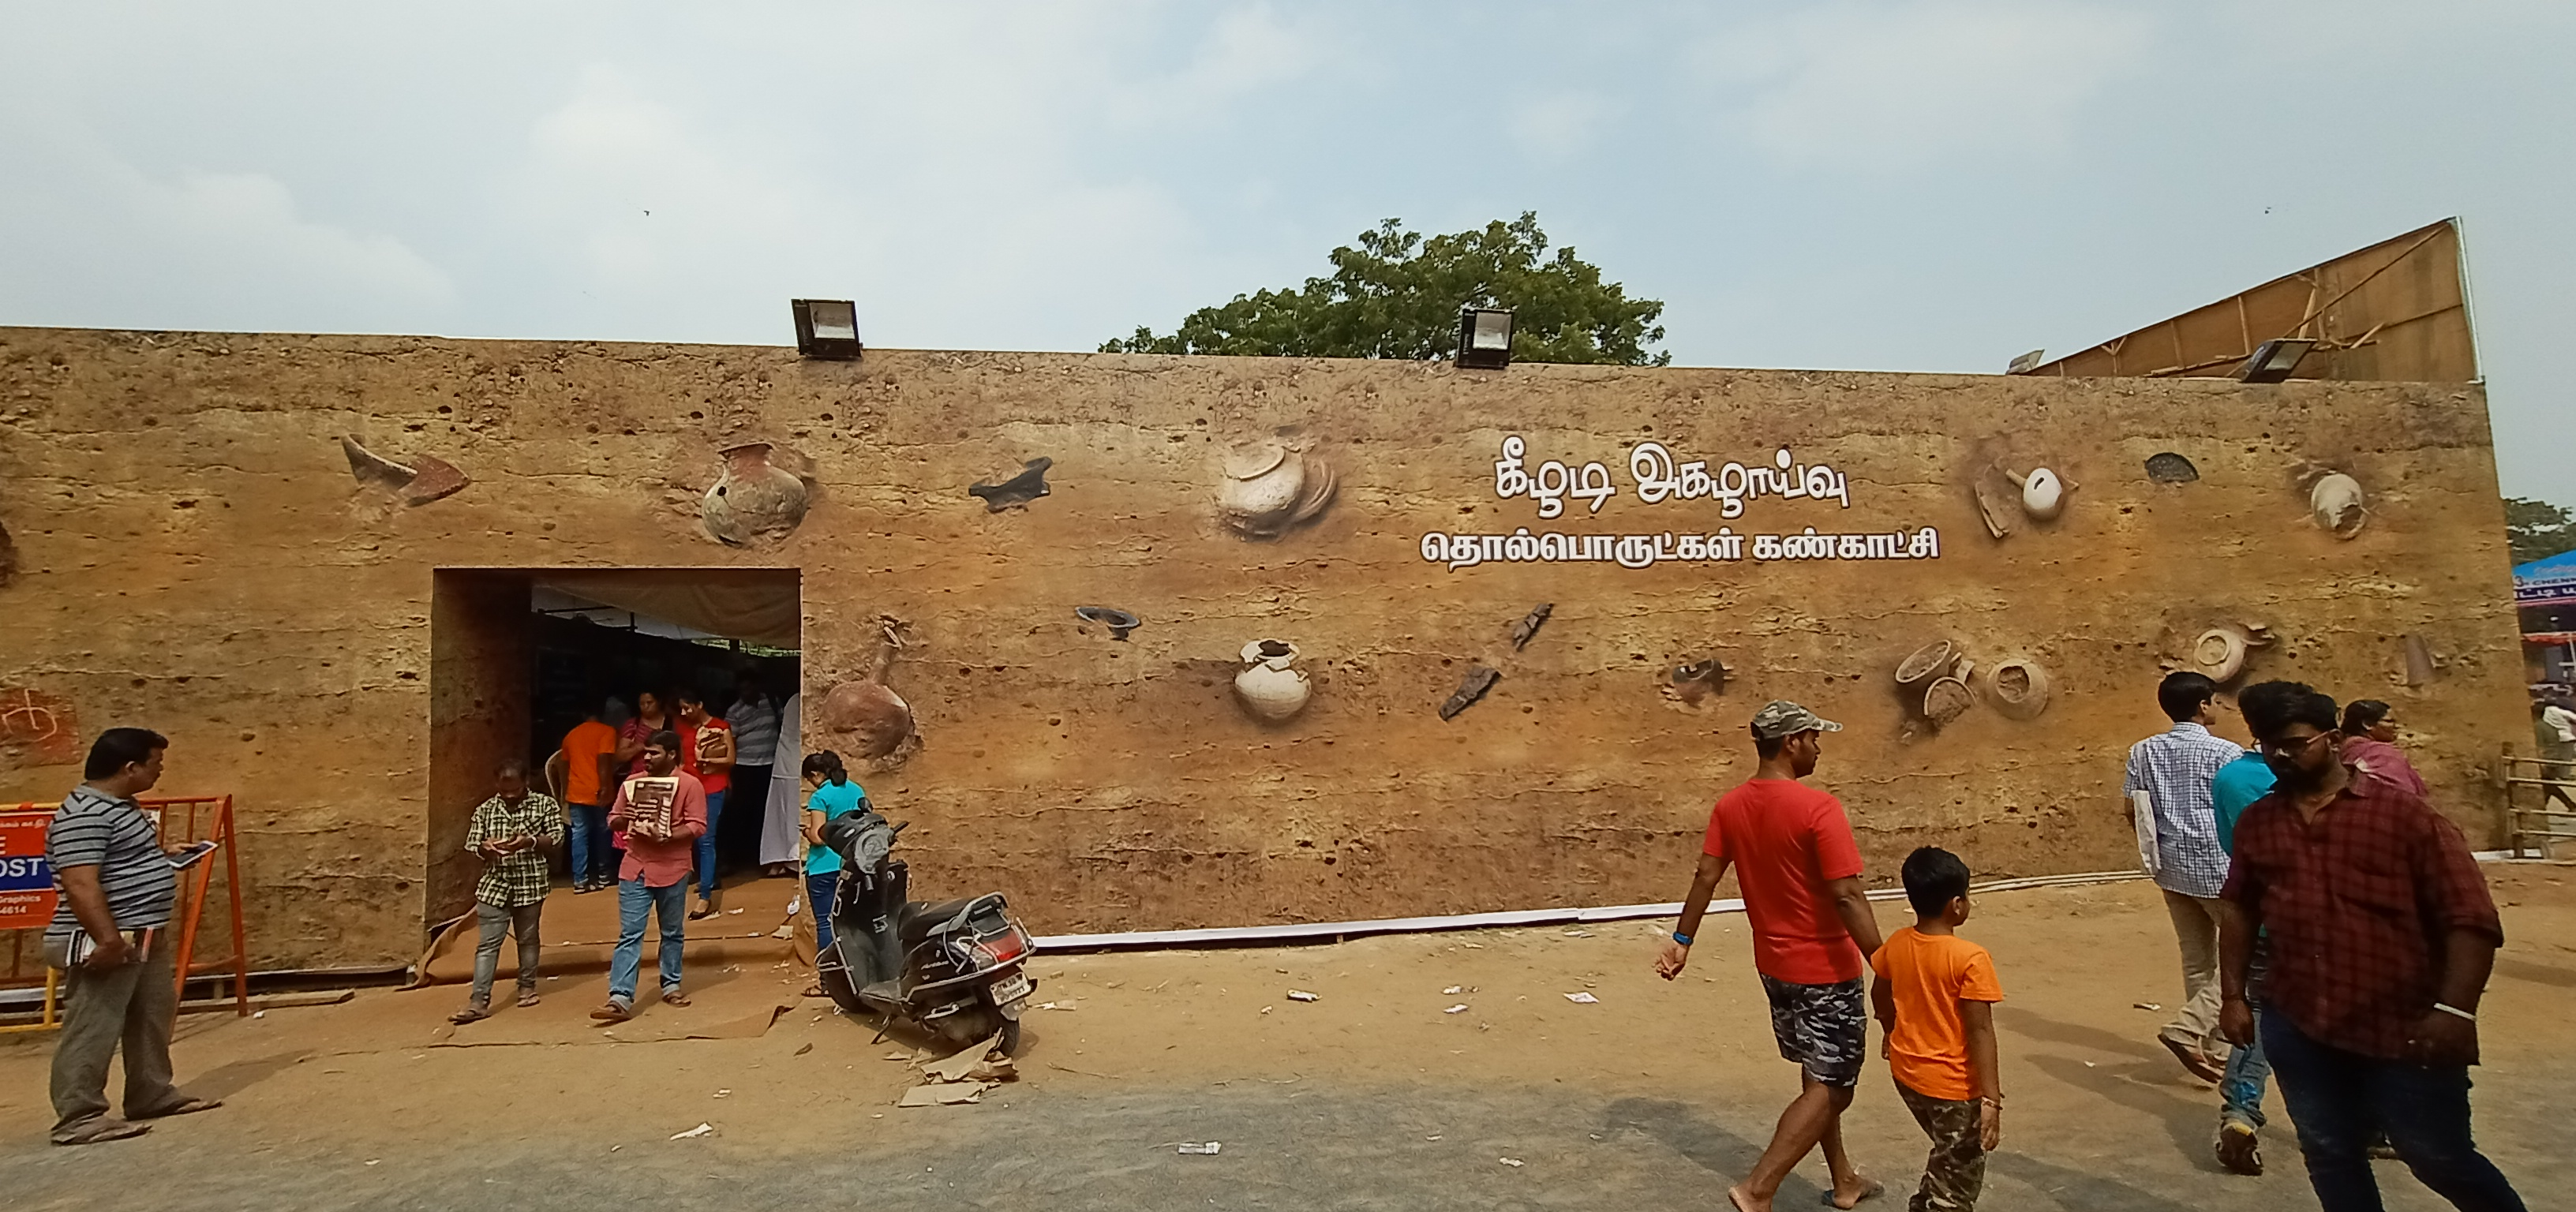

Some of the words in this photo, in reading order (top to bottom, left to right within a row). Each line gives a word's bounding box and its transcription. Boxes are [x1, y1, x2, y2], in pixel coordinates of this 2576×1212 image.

[1482, 428, 1623, 522] கீழடி
[1623, 436, 1856, 522] அகழாய்வு
[1418, 522, 1750, 575] தொல்பொருட்கள்
[1750, 518, 1945, 564] கண்காட்சி